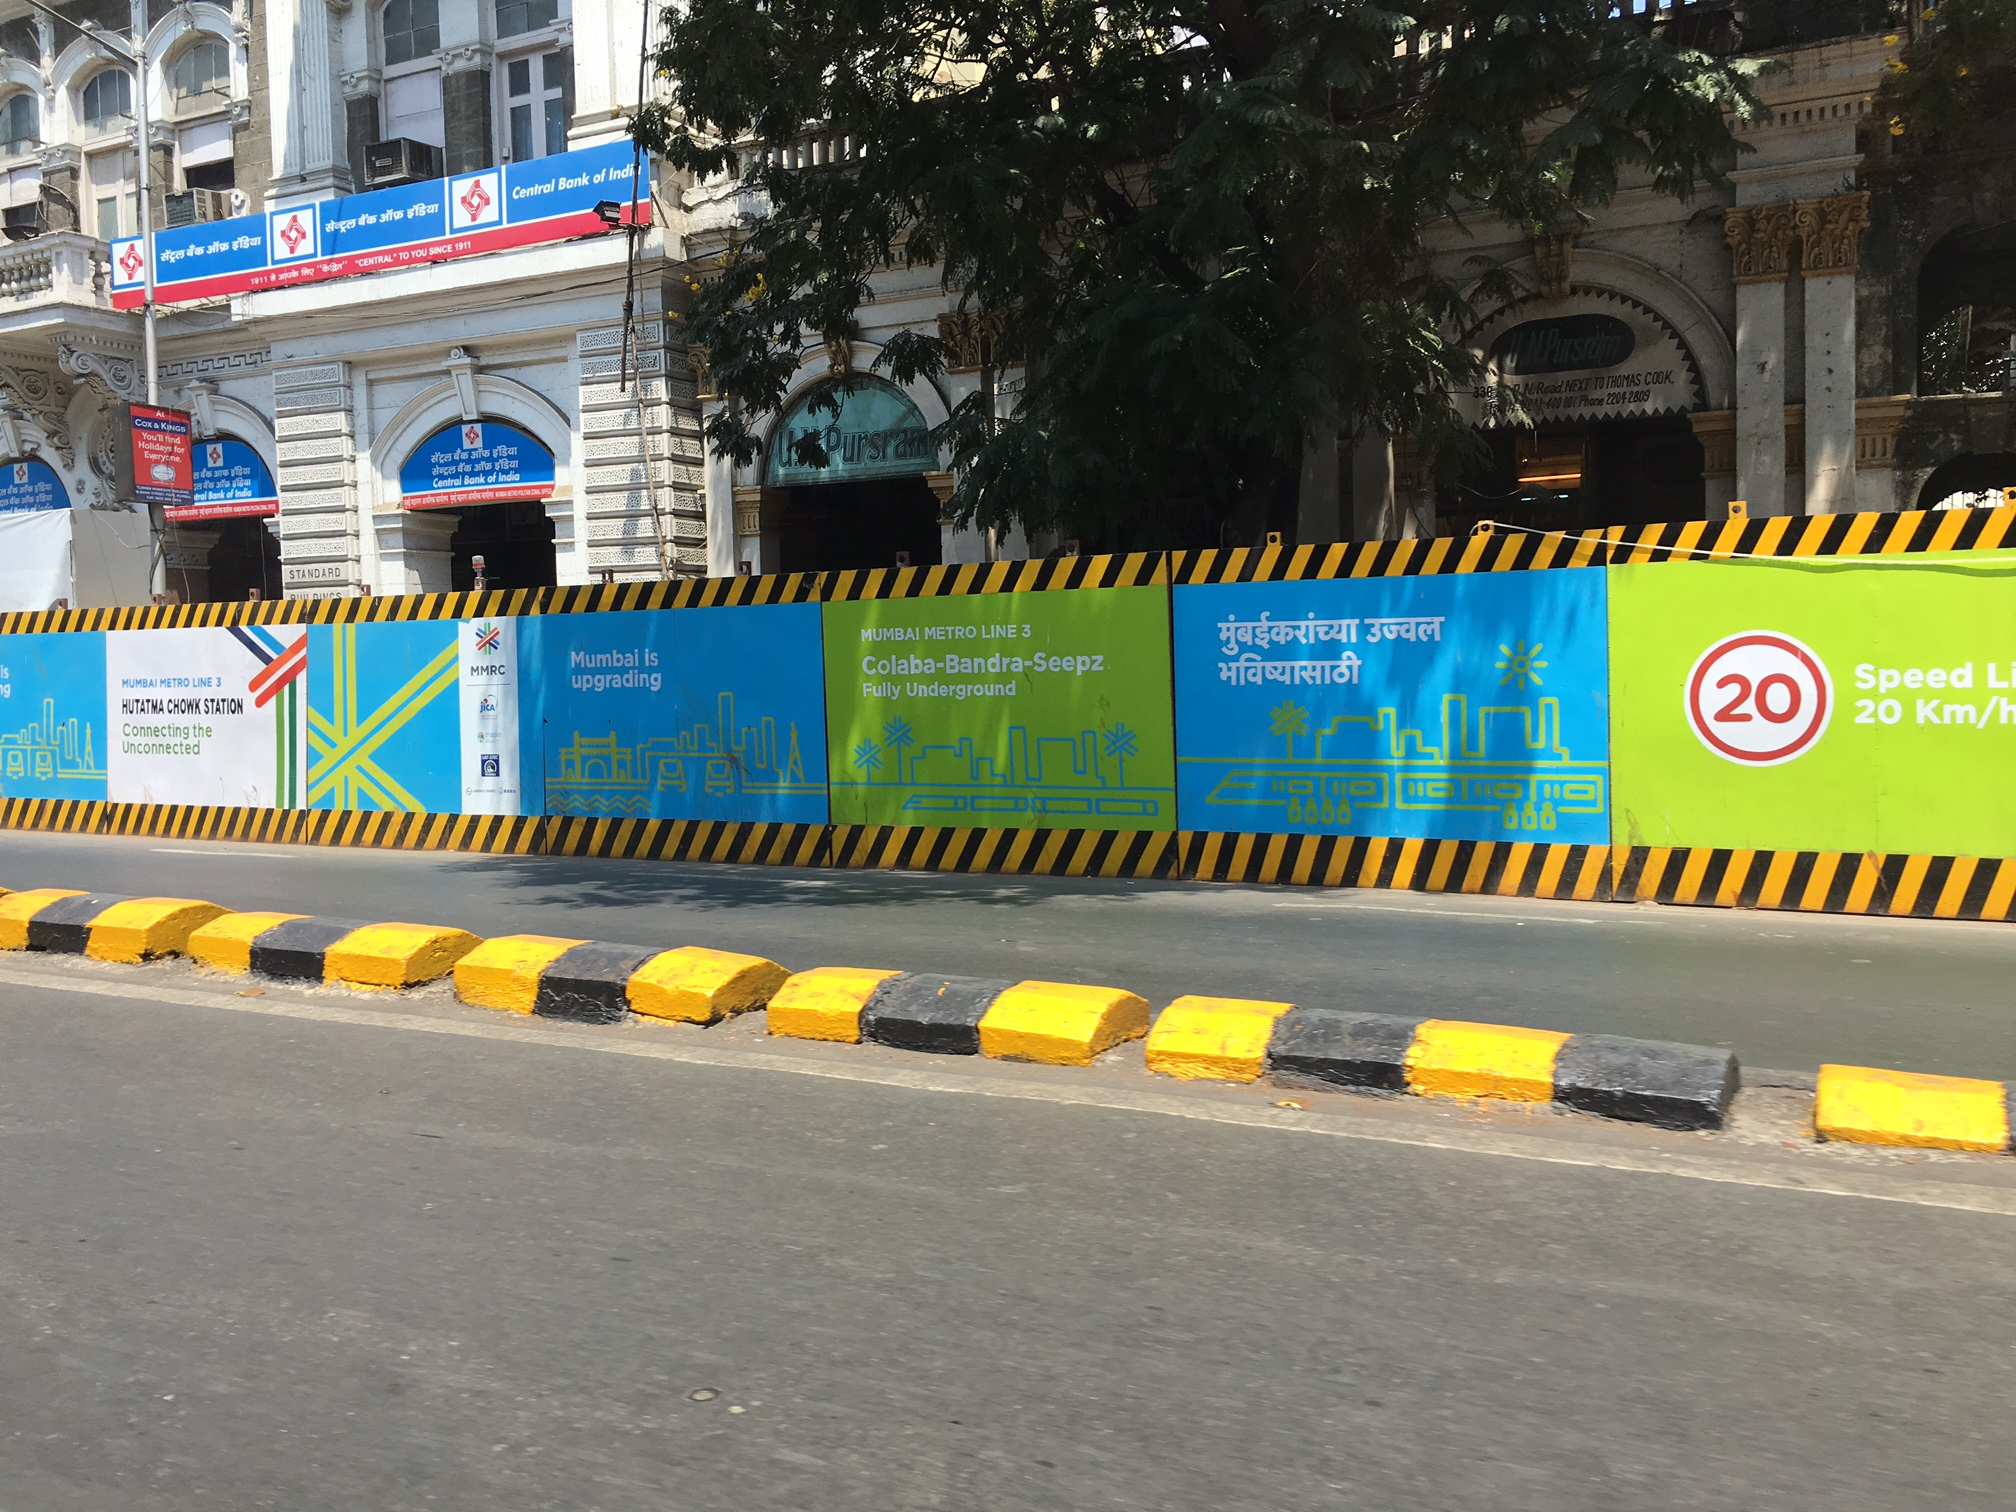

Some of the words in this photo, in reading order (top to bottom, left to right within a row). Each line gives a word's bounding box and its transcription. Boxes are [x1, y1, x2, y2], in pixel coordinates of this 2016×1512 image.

[507, 176, 557, 201] Central
[556, 167, 593, 191] Bank
[587, 162, 611, 188] of
[607, 152, 647, 183] India
[321, 213, 360, 237] सेन्ट्रल
[351, 205, 381, 231] बैंक
[375, 201, 411, 226] ऑफ़
[400, 195, 444, 222] इंडिया
[155, 239, 189, 267] सेंट्रल
[179, 238, 211, 260] बँक
[202, 229, 235, 260] ऑफ़
[228, 223, 267, 260] इंडिया
[1534, 322, 1625, 371] Pursram
[1533, 375, 1569, 401] Road,
[1561, 371, 1595, 401] NEXT
[1577, 392, 1611, 412] Phone
[1586, 363, 1610, 396] TO
[1599, 367, 1650, 393] THOMAS
[1603, 383, 1653, 406] 22042809
[1641, 367, 1677, 389] COOK,
[1, 479, 23, 499] बँक
[3, 491, 24, 509] बँक
[14, 491, 40, 507] ऑफ्र
[16, 475, 39, 499] ऑफ
[28, 472, 57, 495] इंडिया
[31, 486, 57, 509] इंडिया
[127, 410, 155, 431] COX
[140, 426, 170, 446] You
[137, 435, 176, 457] Holidays
[139, 446, 184, 466] Everyone.
[158, 419, 189, 436] KINGS
[168, 441, 189, 460] for
[195, 459, 218, 482] बैंक
[199, 474, 221, 492] बँक
[210, 461, 235, 483] आफ
[210, 473, 236, 491] ऑफ
[225, 460, 254, 483] इंडिया
[229, 471, 256, 491] इंडिया
[427, 444, 459, 469] सेंट्रल
[427, 457, 461, 483] सेन्ट्रल
[425, 471, 466, 492] Central
[447, 442, 475, 463] बँक
[450, 459, 477, 476] बँक
[457, 469, 490, 491] Bank
[467, 441, 494, 465] ऑफ
[469, 454, 499, 477] ऑफ्र
[483, 467, 503, 487] of
[489, 439, 521, 461] इंडिया
[489, 450, 524, 475] इंडिया
[492, 466, 525, 488] India
[283, 559, 345, 583] STANDARD
[855, 623, 926, 644] MUMBAI
[917, 616, 981, 643] METRO
[977, 619, 1038, 643] LINE3
[1212, 605, 1363, 659] मुंबईकरांच्या
[1361, 609, 1452, 649] उज्वल
[119, 673, 159, 692] MUMBAI
[158, 671, 193, 691] METRO
[189, 671, 225, 691] LINE3
[467, 660, 512, 682] MMRC
[568, 643, 643, 673] Mumbai
[570, 669, 667, 698] upgrading
[638, 644, 665, 671] is
[857, 675, 909, 702] Fully
[857, 646, 941, 679] Colaba-
[903, 677, 1020, 704] Underground
[941, 648, 1032, 677] Bandra-
[1029, 642, 1115, 679] Seepz
[1213, 645, 1367, 690] भविष्यासाठी
[1848, 655, 1986, 695] Speed
[119, 692, 170, 717] HUTATMA
[164, 693, 205, 720] CHOWK
[197, 689, 249, 718] STATION
[1849, 694, 1902, 731] 20
[1908, 687, 1986, 735] Km
[117, 718, 193, 742] Connecting
[183, 716, 218, 741] the
[122, 737, 203, 759] Unconnected